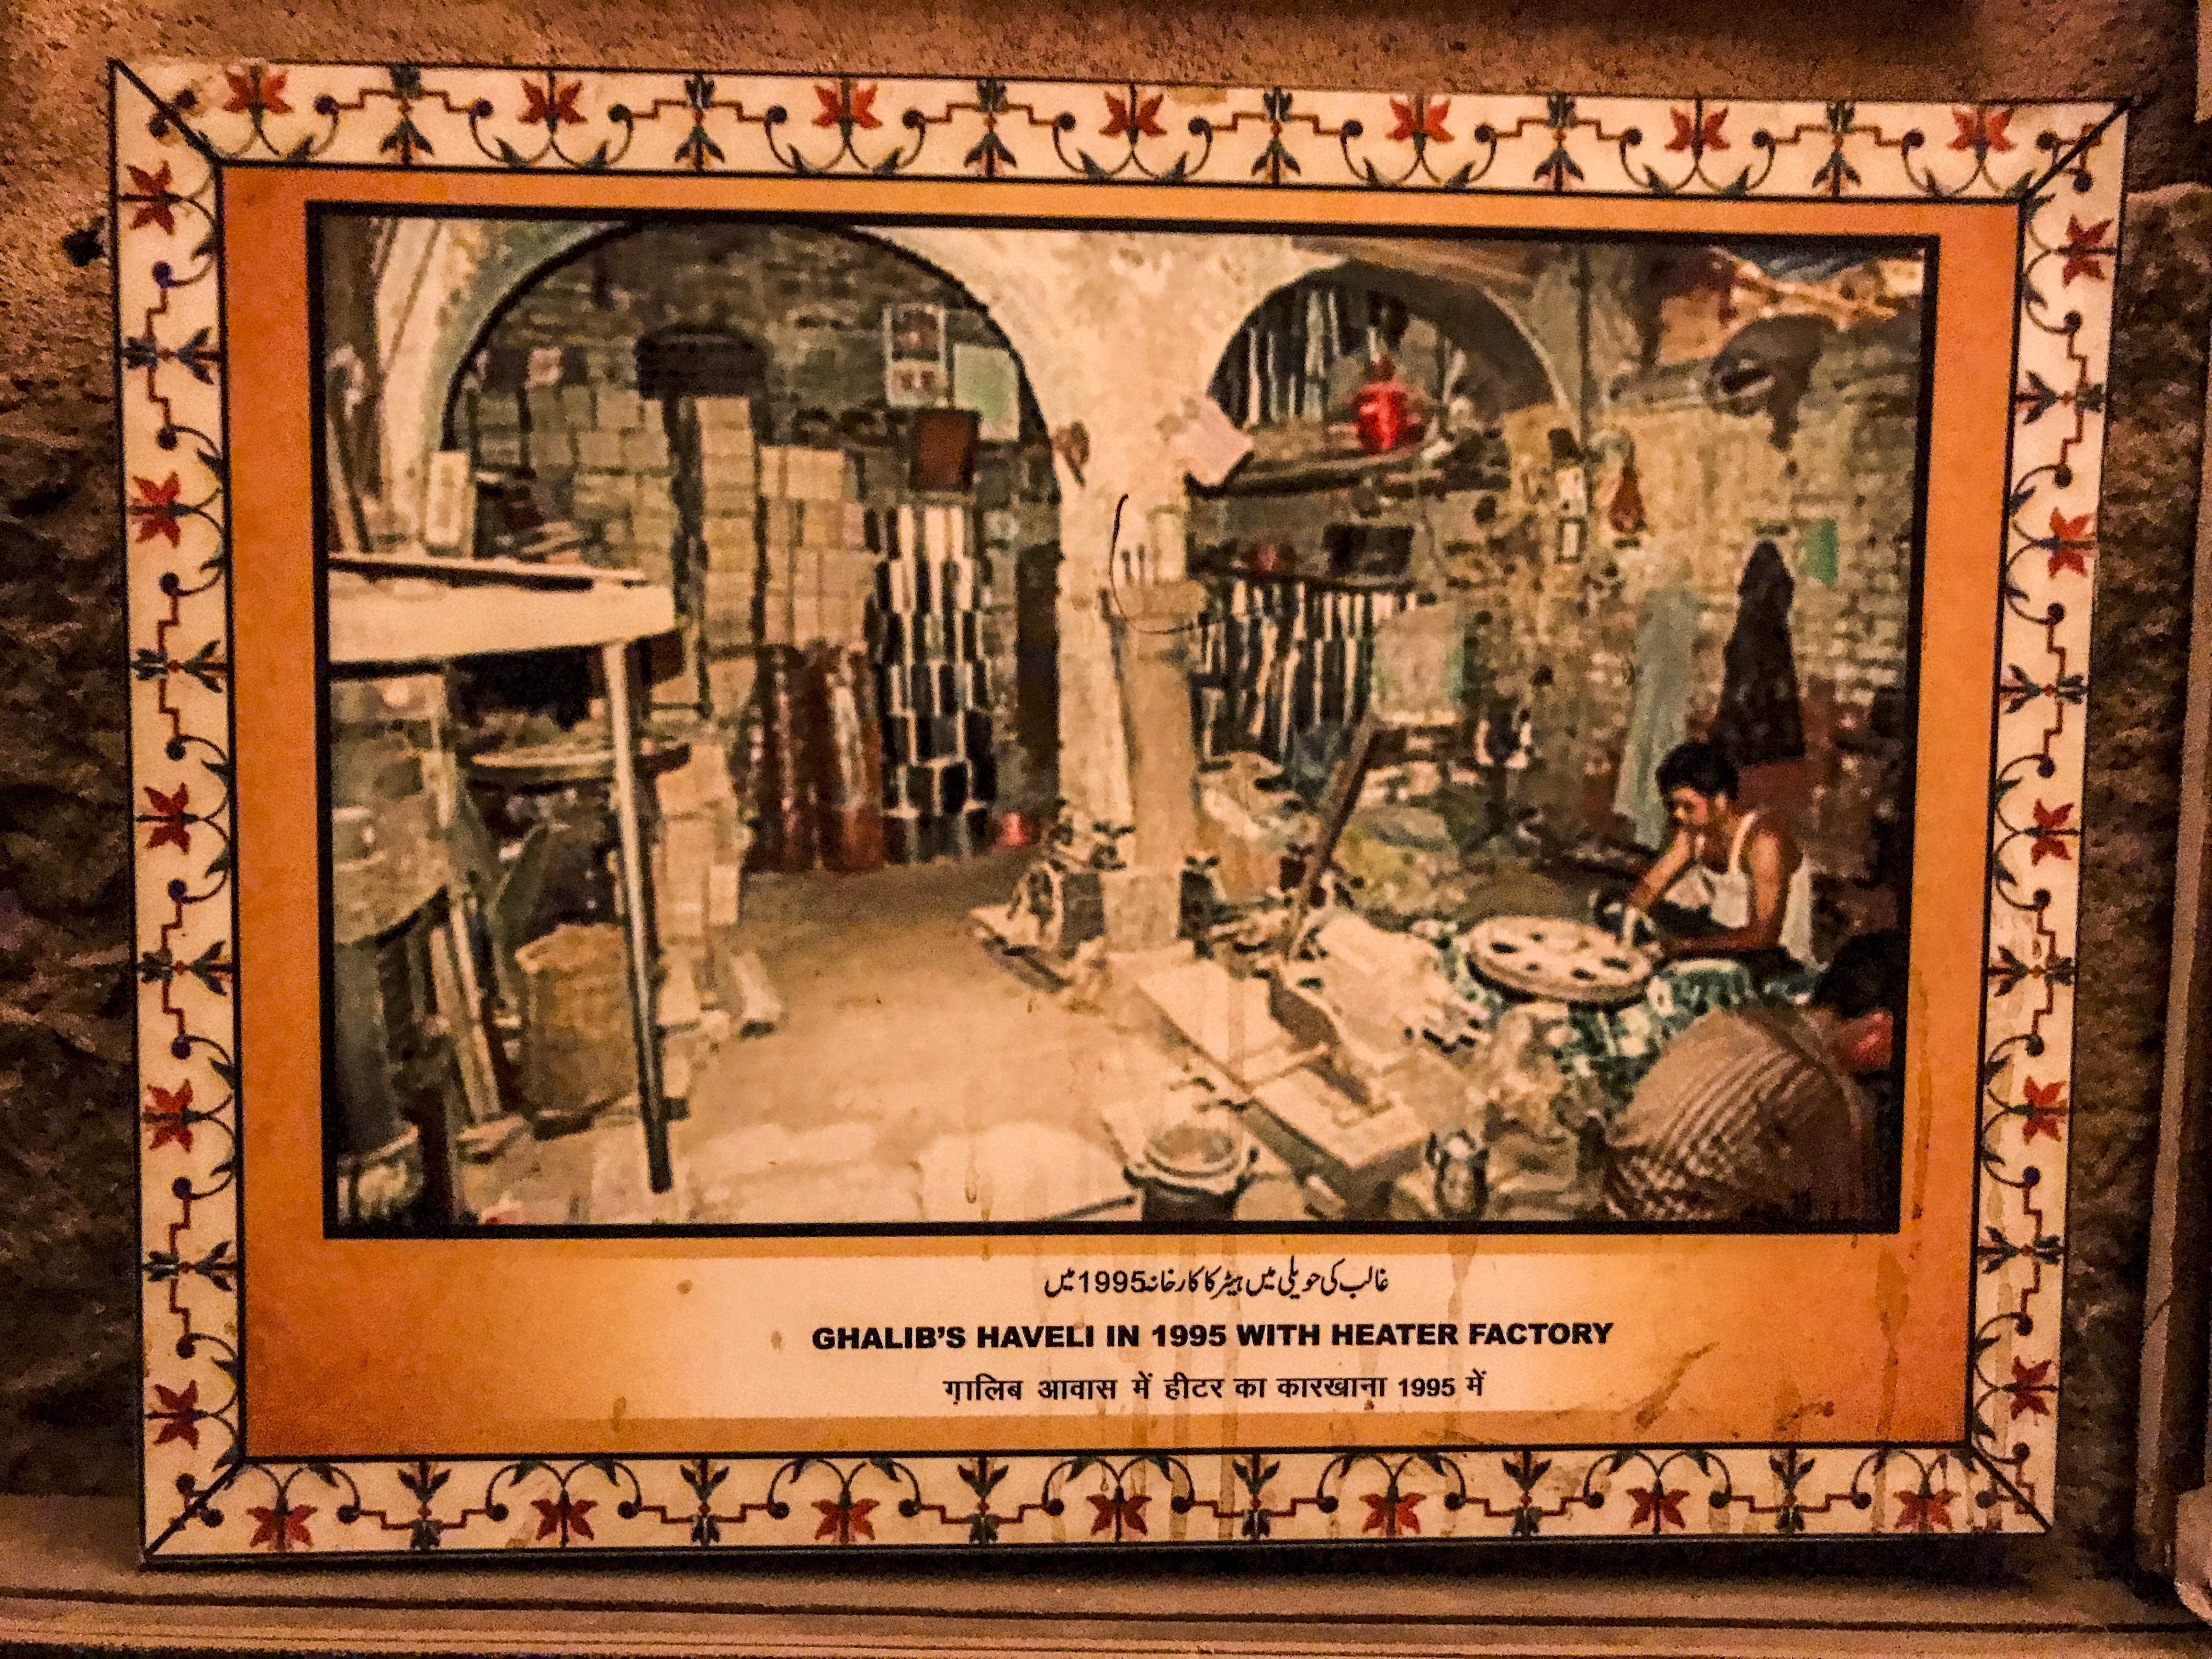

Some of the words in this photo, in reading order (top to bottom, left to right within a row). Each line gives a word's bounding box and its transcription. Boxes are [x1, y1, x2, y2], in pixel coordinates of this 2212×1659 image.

[807, 1322, 970, 1359] GHALIB
[972, 1319, 1102, 1353] HAVELI
[1095, 1321, 1147, 1352] IN
[1151, 1314, 1229, 1358] 1995
[1231, 1312, 1324, 1355] WITH
[1330, 1318, 1462, 1351] HEATER
[1460, 1317, 1617, 1349] FACTORY
[934, 1368, 1024, 1411] ग़ालिब
[1033, 1375, 1123, 1406] आवास
[1126, 1364, 1157, 1407] में
[1162, 1368, 1231, 1411] हीटर
[1230, 1369, 1273, 1403] का
[1274, 1372, 1392, 1404] कारखाना
[1393, 1368, 1463, 1409] 1995
[1458, 1366, 1487, 1400] में